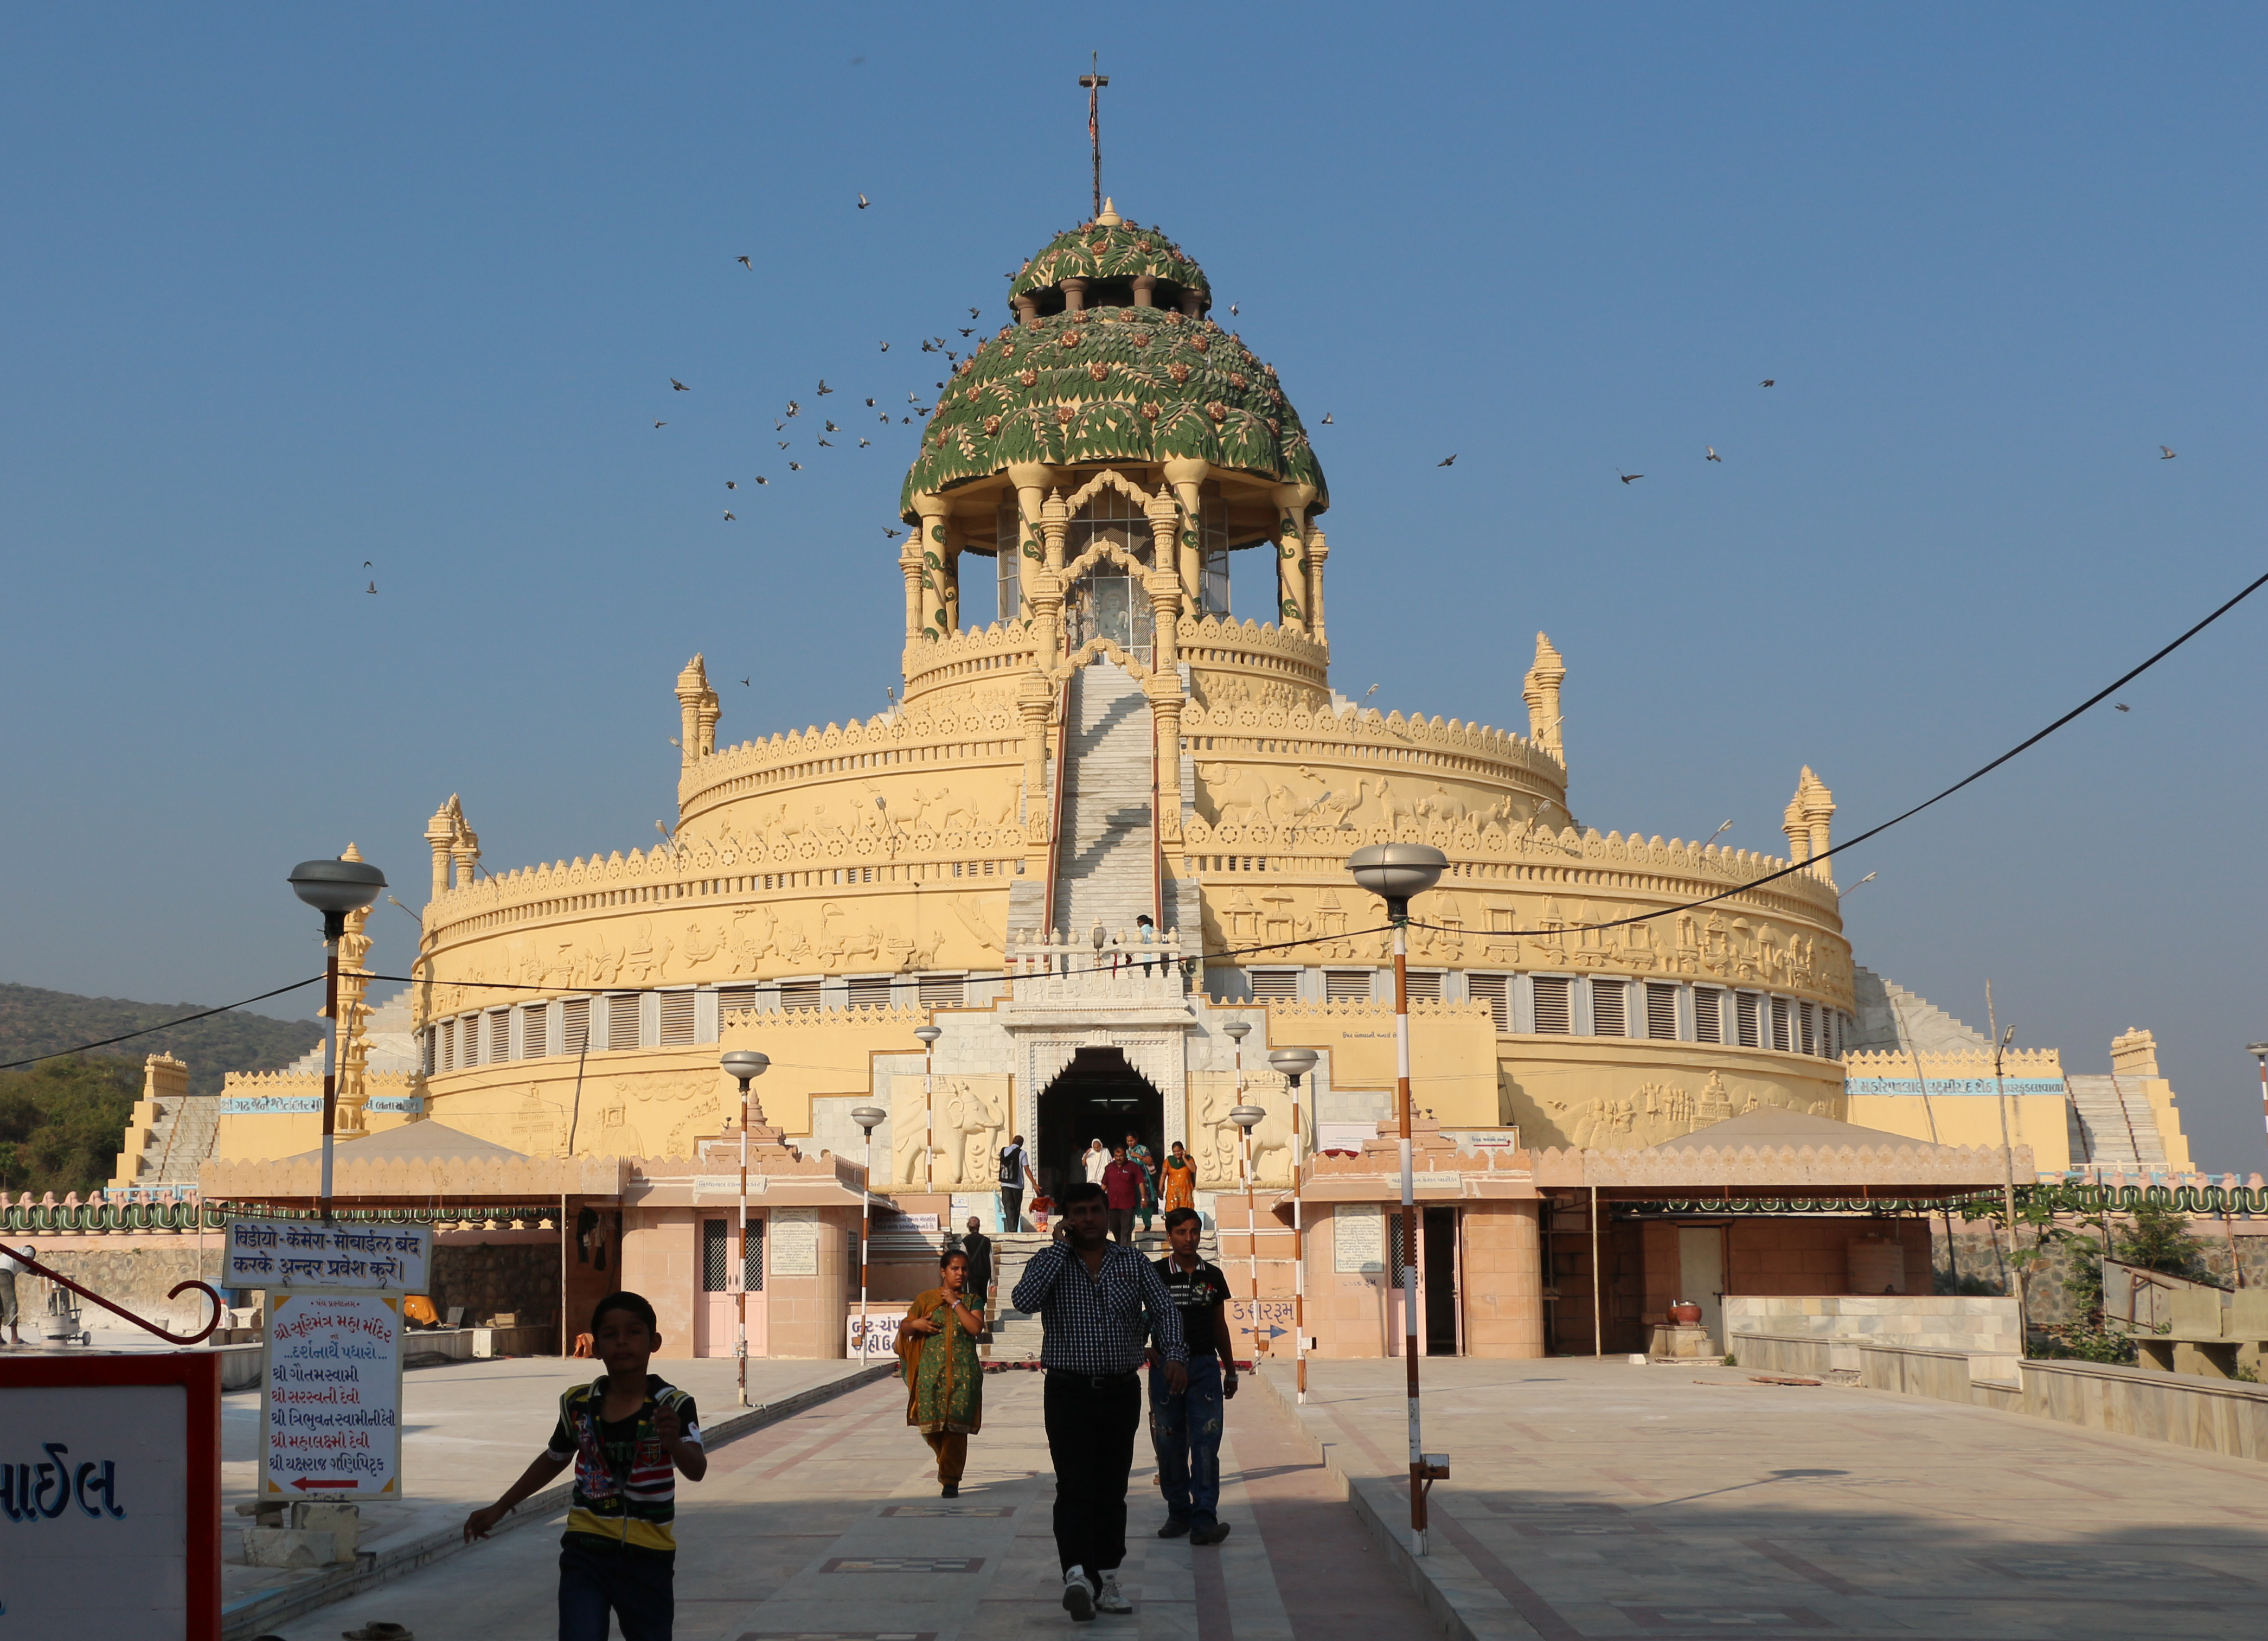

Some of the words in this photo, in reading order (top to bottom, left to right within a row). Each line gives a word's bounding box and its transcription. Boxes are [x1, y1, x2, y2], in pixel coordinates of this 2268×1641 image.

[232, 1221, 395, 1257] विडीयो-केमेरा-मोबाईल
[392, 1228, 424, 1259] बंद
[228, 1248, 274, 1275] करके
[273, 1255, 324, 1280] अन्दर
[323, 1252, 369, 1280] प्रवेश
[368, 1253, 398, 1281] करें
[267, 1319, 293, 1344] શ્રી
[288, 1309, 334, 1339] સૂરિમંત્ર
[283, 1336, 341, 1360] દર્શનાર્થે
[334, 1313, 362, 1337] મહા
[338, 1338, 390, 1360] પધારો...
[360, 1313, 394, 1346] મંદિર
[867, 1331, 880, 1355] હી
[880, 1333, 892, 1353] ઉ
[879, 1313, 900, 1332] ચંપ
[1227, 1300, 1295, 1324] કેશર३મ
[268, 1362, 290, 1382] શ્રી
[287, 1362, 362, 1384] ગૌતમસ્વામી
[270, 1384, 288, 1408] શ્રી
[287, 1384, 339, 1407] સરસ્વતી
[337, 1383, 364, 1409] દેવી
[268, 1406, 288, 1429] श्री
[286, 1406, 335, 1434] ત્રિભુવન
[335, 1404, 395, 1431] સ્વામીનીદેવી
[267, 1428, 288, 1449] શ્રી
[286, 1428, 351, 1454] મહાલક્ષ્મી
[345, 1428, 373, 1452] દેવી
[267, 1450, 286, 1476] શ્રી
[285, 1454, 329, 1474] યક્ષરાજ
[328, 1449, 388, 1479] ગણિપિટ્ટક
[0, 1438, 133, 1527] પાઈલ